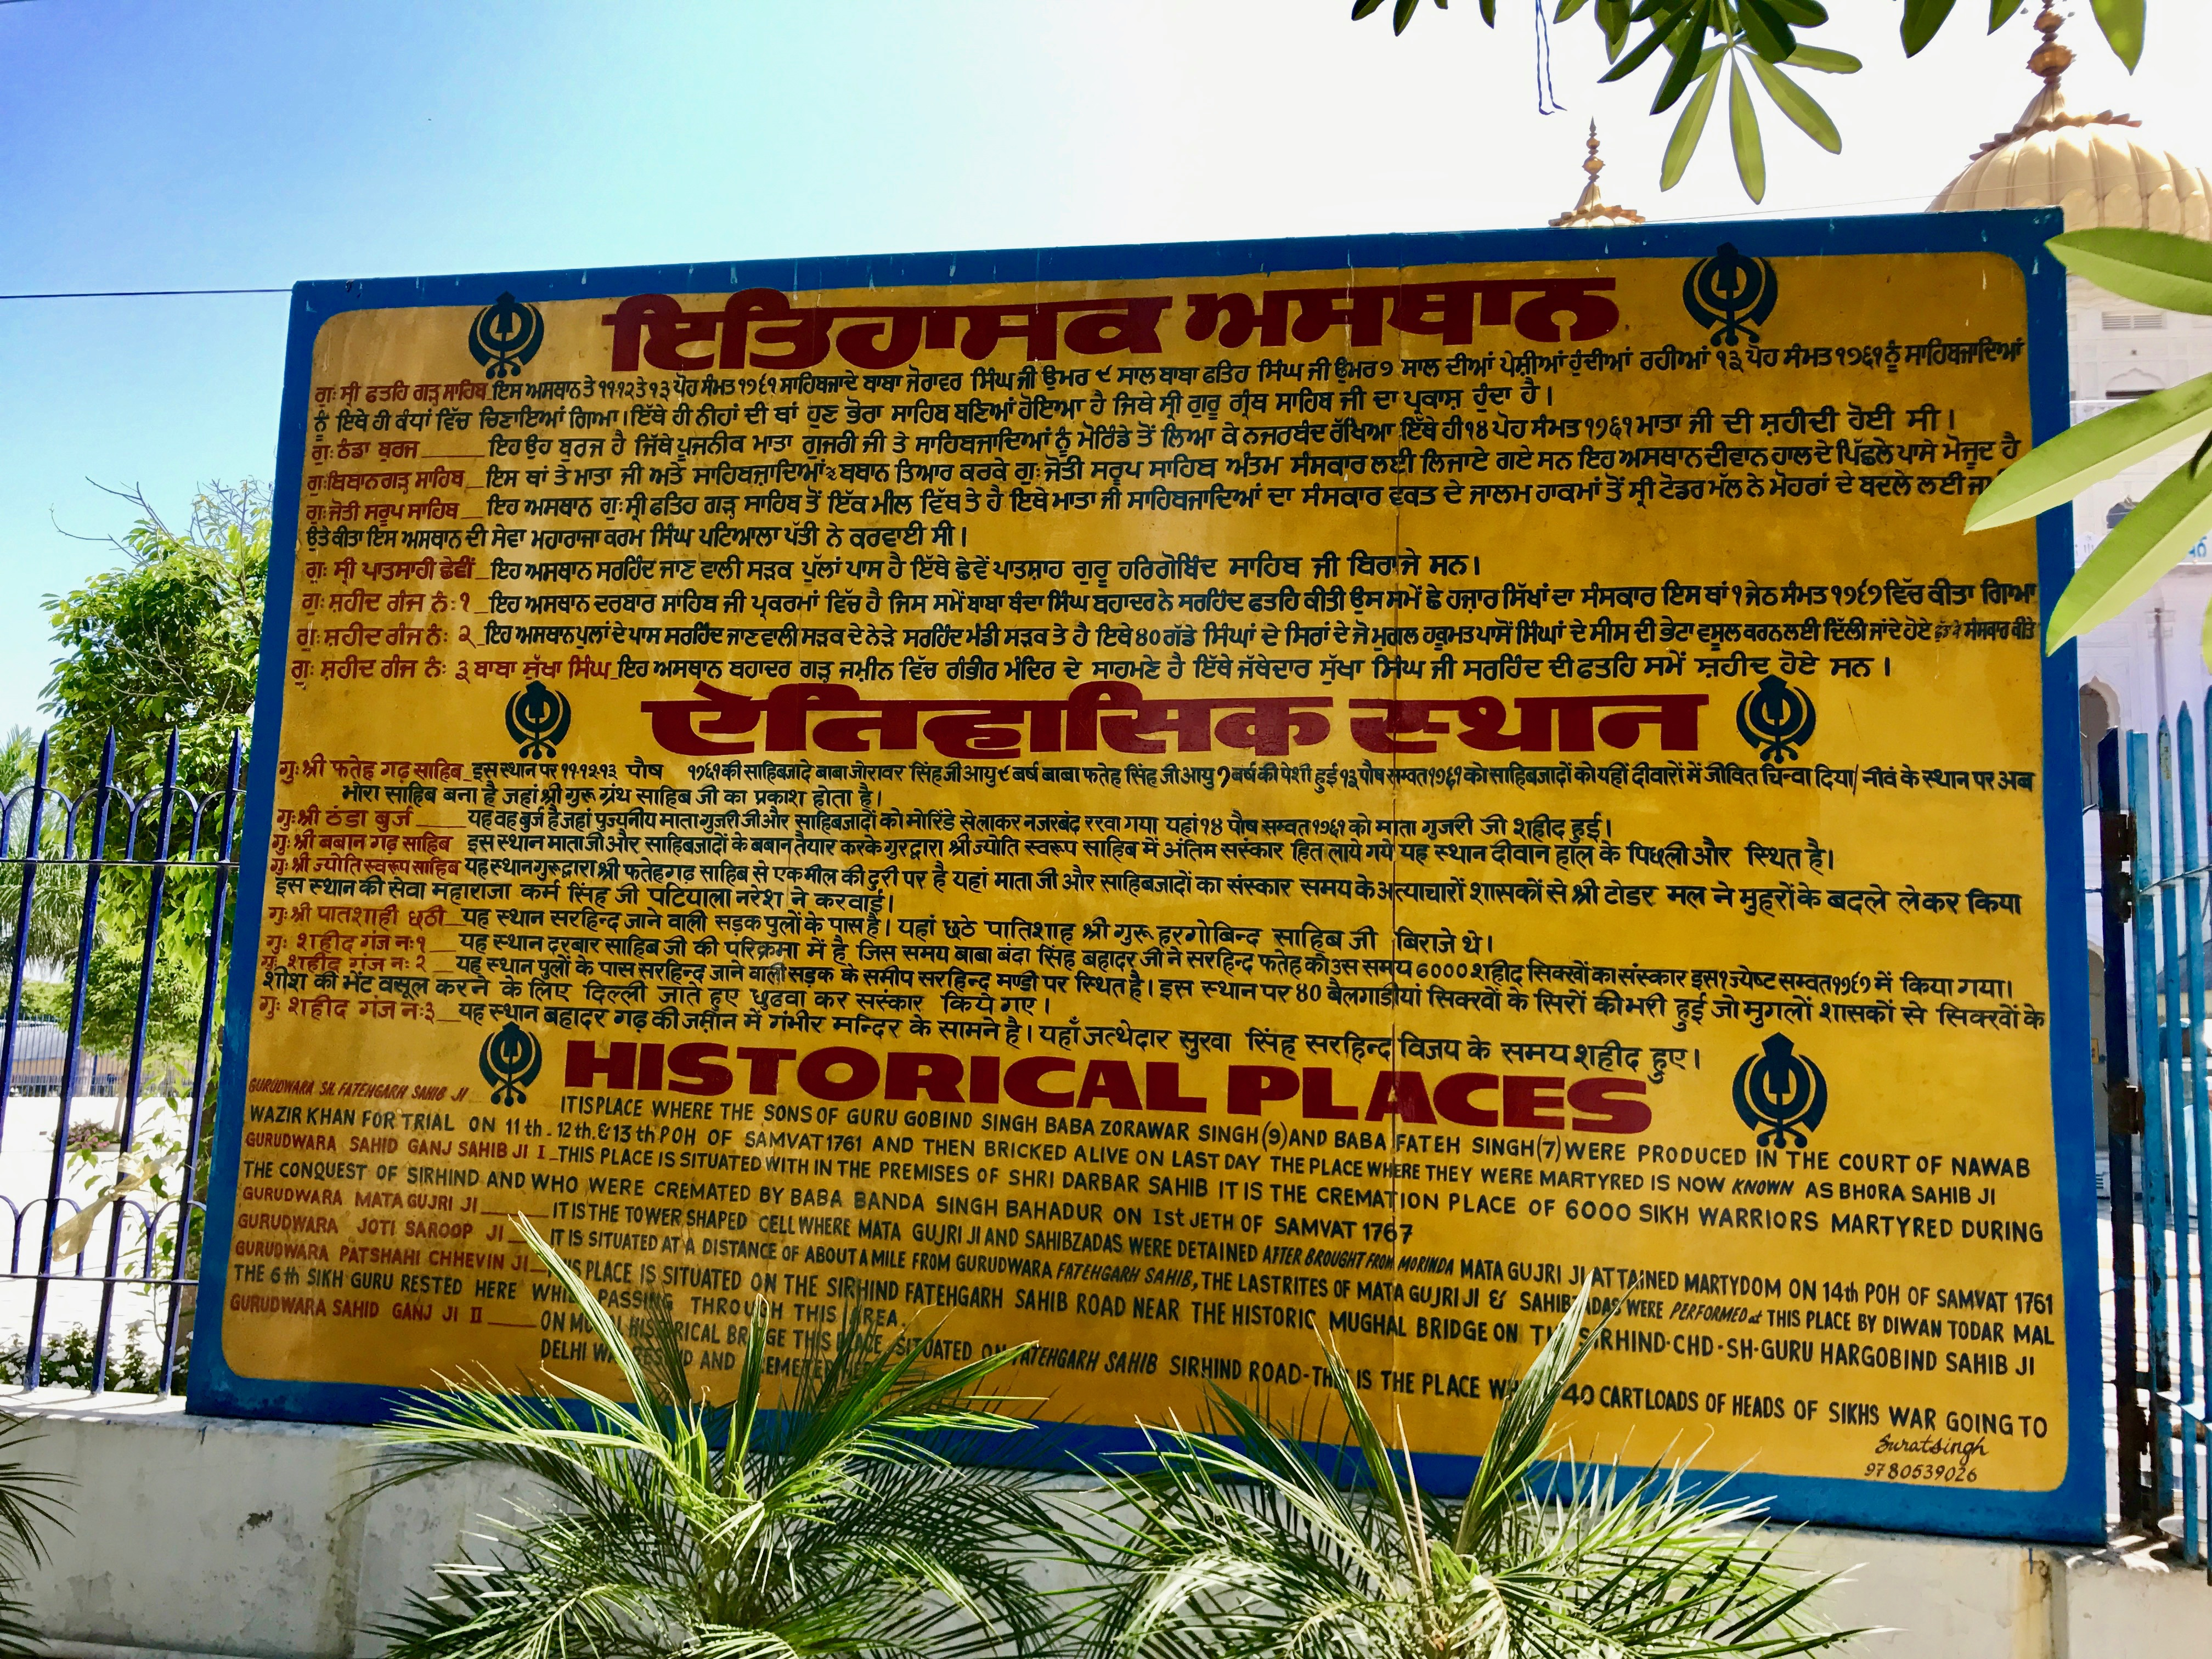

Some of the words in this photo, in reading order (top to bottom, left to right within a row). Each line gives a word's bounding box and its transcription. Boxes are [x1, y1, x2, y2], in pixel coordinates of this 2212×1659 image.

[1154, 975, 1195, 1004] इस
[1144, 1171, 1214, 1200] SAHIB
[1163, 811, 1200, 838] यहां
[1161, 837, 1220, 864] अंतिम
[1167, 1145, 1222, 1172] LAST
[1173, 1025, 1236, 1060] सुखा
[1166, 1349, 1244, 1385] SIRHIND
[1152, 916, 1266, 948] हरगोबिन्द
[1193, 873, 1226, 899] का
[1188, 1296, 1232, 1329] THE
[1187, 1206, 1237, 1233] JETH
[1199, 815, 1226, 839] ੧੪
[1173, 1234, 1260, 1265] DETAINED
[1199, 1266, 1237, 1296] THE
[1183, 944, 1257, 980] सरहिन्द
[1213, 1176, 1241, 1203] IT
[1197, 977, 1259, 1005] स्थान
[1195, 1121, 1261, 1147] SINGH
[1226, 805, 1259, 837] पौष
[1222, 1150, 1265, 1175] DAY
[1217, 837, 1286, 865] संस्कार
[1240, 1177, 1267, 1205] IS
[1236, 1209, 1271, 1237] OF
[1225, 872, 1299, 902] संस्कार
[1239, 1023, 1300, 1063] सिंह
[1245, 1355, 1302, 1390] ROAD
[1264, 1124, 1284, 1148] 9
[1230, 1298, 1321, 1332] HISTORIC
[1259, 979, 1293, 1006] पर
[1255, 947, 1304, 981] फतेह
[1258, 1241, 1306, 1267] AFTER
[1236, 1269, 1329, 1301] LASTRITES
[1259, 815, 1312, 838] सम्वत
[1266, 1153, 1307, 1178] THE
[1267, 1180, 1311, 1207] THE
[1285, 837, 1326, 868] हित
[1292, 981, 1323, 1007] ੪੦
[1286, 1121, 1329, 1148] AND
[1268, 917, 1348, 955] साहिब
[1272, 1211, 1359, 1243] SAMVAT
[1303, 952, 1331, 978] को
[1311, 1361, 1334, 1391] TH
[1297, 874, 1353, 903] समय
[1311, 812, 1347, 840] ੧੭੬੧
[1302, 1244, 1369, 1271] BROUGHT
[1307, 1153, 1365, 1178] PLACE
[1330, 1274, 1353, 1300] OF
[1325, 836, 1364, 868] लाये
[1330, 955, 1362, 980] उस
[1301, 1029, 1394, 1067] सरहिन्द
[1347, 810, 1374, 840] को
[1332, 1126, 1390, 1153] BABA
[1352, 870, 1376, 905] के
[1353, 1365, 1375, 1392] IS
[1347, 922, 1383, 954] जी
[1325, 1307, 1413, 1341] MUGHAL
[1322, 975, 1425, 1011] बैलगाडीयां
[1313, 1185, 1442, 1214] CREMATION
[1362, 1249, 1397, 1274] FROM
[1364, 837, 1398, 865] गये
[1354, 1276, 1409, 1305] MATA
[1361, 957, 1415, 980] समय
[1359, 1218, 1417, 1246] 1767
[1365, 1156, 1423, 1182] WHERE
[1373, 814, 1420, 840] माता
[1379, 1366, 1419, 1399] THE
[1397, 840, 1432, 870] यह
[1375, 874, 1469, 906] अत्याचारों
[1392, 922, 1459, 958] बिराजे
[1395, 1251, 1458, 1279] MORINDA
[1392, 1127, 1463, 1158] FATEH
[1394, 1026, 1464, 1064] विजय
[1406, 1278, 1464, 1313] GUJRI
[1218, 1060, 1657, 1138] PLACES
[1414, 956, 1470, 981] 6000
[1419, 808, 1476, 842] गुजरी
[1423, 1160, 1476, 1185] THEY
[1412, 1313, 1491, 1344] BRIDGE
[1420, 1370, 1486, 1404] PLACE
[1431, 840, 1489, 867] स्थान
[1424, 981, 1504, 1015] सिक्खों
[1459, 928, 1485, 958] थे
[1462, 1283, 1485, 1313] JI
[1465, 1032, 1494, 1063] के
[1457, 1251, 1505, 1282] MATA
[1444, 1188, 1521, 1218] PLACE
[1476, 810, 1511, 836] जी
[1468, 958, 1525, 989] शहीद
[1468, 1133, 1536, 1160] SINGH
[1466, 876, 1546, 910] शासकों
[1477, 1163, 1537, 1190] WERE
[1490, 1317, 1524, 1345] ON
[1505, 985, 1532, 1016] के
[1487, 836, 1552, 868] दीवान
[1495, 1039, 1572, 1069] समय
[1505, 1256, 1565, 1286] GUJRI
[1510, 810, 1567, 844] शहीद
[1524, 1192, 1560, 1222] OF
[1515, 1290, 1573, 1317] SAHIB
[1538, 1135, 1559, 1163] 7
[1544, 874, 1571, 907] से
[1525, 952, 1591, 986] सिक्खों
[1531, 984, 1590, 1019] सिरों
[1551, 842, 1597, 874] हाल
[1566, 1261, 1588, 1289] JI
[1559, 1379, 1598, 1409] 40
[1567, 810, 1605, 845] हुई
[1568, 874, 1604, 910] श्री
[1536, 1165, 1646, 1193] MARTYRED
[1562, 1137, 1629, 1165] WERE
[1561, 1194, 1634, 1224] 6000
[1590, 961, 1618, 987] क।
[1590, 986, 1624, 1019] क‍ी
[1571, 1038, 1645, 1074] शहीद
[1596, 837, 1623, 868] के
[1601, 876, 1662, 913] टोडर
[1588, 1262, 1680, 1293] ATTAiNED
[1600, 1325, 1668, 1354] RHIND
[1624, 1297, 1667, 1322] WERE
[1623, 990, 1669, 1020] ਮਦੀ
[1598, 1381, 1700, 1415] CARTLOADS
[1617, 961, 1689, 991] संस्कार
[1623, 838, 1692, 874] पिछली
[1649, 1170, 1675, 1194] IS
[1634, 1201, 1692, 1228] SIKH
[1644, 1044, 1692, 1087] हुए
[1663, 880, 1708, 913] मल
[1668, 990, 1709, 1035] हुई
[1636, 1143, 1749, 1169] PRODUCED
[1672, 1331, 1716, 1360] CHD
[1675, 1170, 1728, 1197] NOW
[1689, 964, 1719, 992] इस
[1667, 1296, 1753, 1329] PERFORMED
[1690, 833, 1735, 870] और
[1703, 1389, 1729, 1417] OF
[1708, 878, 1737, 910] ने
[1718, 963, 1729, 991] ੧
[1707, 991, 1742, 1024] जो
[1680, 1268, 1786, 1300] MARTYDOM
[1724, 1334, 1754, 1362] SH
[1725, 961, 1778, 992] ज्येष्ट
[1747, 1307, 1764, 1329] at
[1730, 1391, 1786, 1422] HEADS
[1696, 1202, 1823, 1234] WARRIORS
[1729, 1173, 1798, 1200] KNOWN
[1753, 1148, 1779, 1171] IN
[1736, 878, 1798, 922] मुहरों
[1740, 838, 1804, 875] स्थित
[1740, 994, 1816, 1029] मुगलों
[1765, 1306, 1803, 1330] THIS
[1759, 1336, 1815, 1364] GURU
[1786, 1274, 1818, 1304] ON
[1777, 969, 1834, 996] सम्वत
[1791, 1396, 1821, 1426] OF
[1783, 1149, 1833, 1173] THE
[1796, 878, 1824, 912] क‍े
[1801, 834, 1828, 879] है
[1801, 1179, 1836, 1202] AS
[1804, 1308, 1854, 1333] PLACE
[1821, 1278, 1845, 1305] 14
[1831, 968, 1873, 998] ੧੭੬੭
[1844, 1279, 1862, 1305] th
[1825, 1398, 1883, 1430] SIKHS
[1815, 997, 1898, 1031] शासकॊं
[1824, 879, 1893, 919] बदले
[1857, 1310, 1880, 1336] BY
[1834, 1147, 1912, 1175] COURT
[1837, 1180, 1910, 1205] BHORA
[1818, 1339, 1939, 1374] HARGOBIND
[1862, 1280, 1902, 1307] POH
[1871, 967, 1898, 995] में
[1827, 1210, 1954, 1240] MARTYRED
[1881, 1313, 1945, 1340] DIWAN
[1884, 1403, 1942, 1433] WAR
[1897, 997, 1930, 1029] से
[1904, 1281, 1934, 1309] OF
[1896, 968, 1957, 1000] किया
[1893, 880, 1965, 920] लेकर
[1913, 1151, 1948, 1178] OF
[1910, 1181, 1973, 1206] SAHIB
[1934, 1285, 2012, 1315] SAMVAT
[1945, 1316, 2008, 1346] TODAR
[1943, 1348, 2011, 1378] SAHIB
[1932, 999, 2023, 1034] सिक्खों
[1940, 1406, 2016, 1437] GOING
[1955, 974, 2006, 1001] गया
[1975, 1182, 2001, 1208] JI
[1949, 1153, 2036, 1180] NAWAB
[1963, 887, 2025, 917] किया
[1959, 1216, 2049, 1244] DURING
[2012, 1351, 2039, 1380] JI
[2015, 1410, 2051, 1442] TO
[2021, 1000, 2048, 1033] के
[2011, 1321, 2059, 1349] MAL
[2012, 1288, 2059, 1318] 1761
[1870, 1431, 1995, 1465] Suratsingh
[1856, 1459, 1982, 1489] 9780539026